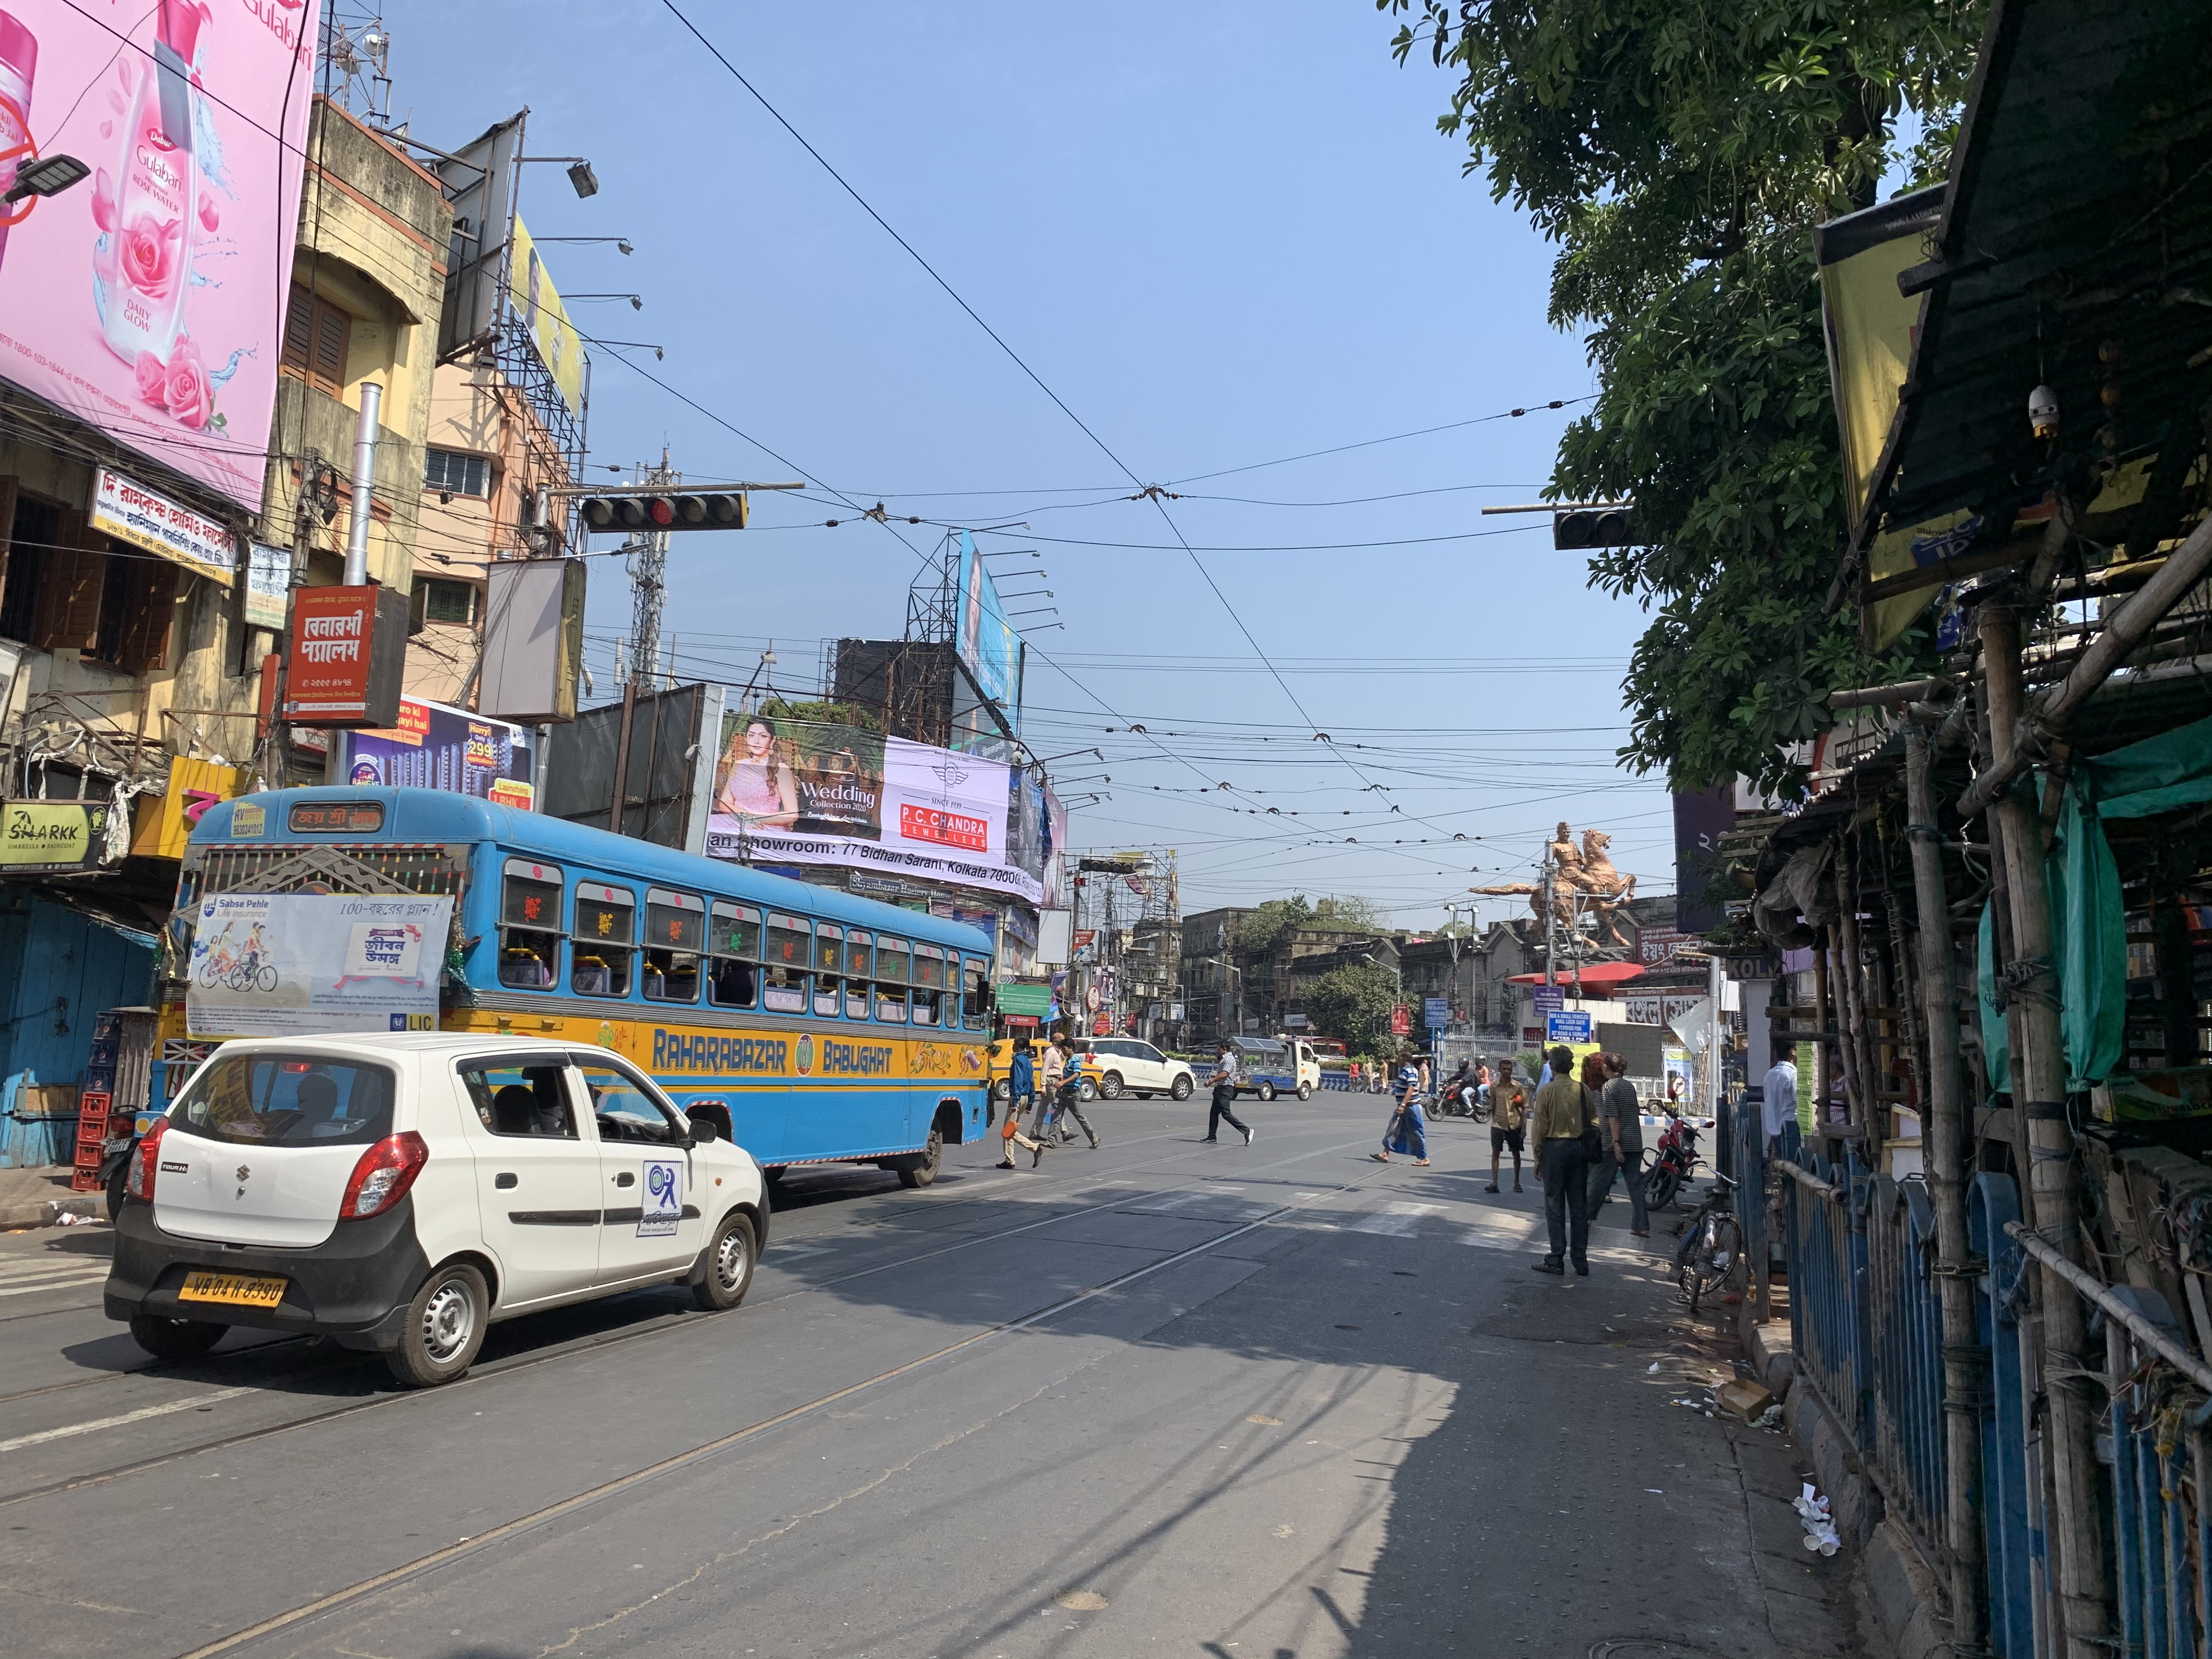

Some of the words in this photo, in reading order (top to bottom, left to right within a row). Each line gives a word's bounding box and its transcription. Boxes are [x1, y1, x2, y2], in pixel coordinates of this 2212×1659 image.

[132, 140, 187, 194] Gulabari
[129, 172, 154, 195] ROSE
[142, 173, 172, 200] PREMIUM
[151, 187, 182, 216] WATER
[124, 297, 154, 324] DAILY
[122, 306, 156, 335] GLOW
[63, 374, 104, 402] কল করুন ৷
[96, 391, 136, 418] ওয়েবসাইট
[130, 410, 182, 444] www.dabur.com
[95, 466, 122, 500] দি
[112, 481, 168, 523] রামকৃষ্ণ
[104, 522, 126, 539] ১২৮৷১
[121, 526, 142, 543] বিধান
[125, 509, 163, 539] হ্যানিম্যান
[161, 524, 193, 553] পাবলিশিং
[161, 505, 204, 539] হোমিও
[200, 522, 239, 556] ফার্মেসী
[188, 540, 229, 572] কোং প্রাঃ লিং
[301, 606, 368, 641] বনারসী
[299, 632, 360, 667] প্যালেস
[805, 794, 855, 811] Collection
[797, 778, 878, 812] Wedding
[848, 798, 868, 812] 2020
[898, 802, 990, 841] P.C.CHANDRA
[736, 830, 839, 857] Showroom:
[837, 838, 862, 858] 77
[857, 842, 906, 866] Bidhan
[902, 851, 948, 875] Sarani,
[898, 823, 988, 852] JEWELLERS
[947, 858, 991, 880] Kolkata
[988, 865, 1024, 887] 700006
[214, 904, 232, 919] Life
[216, 895, 247, 910] Sabse
[229, 907, 270, 918] Insurance
[244, 895, 272, 914] Pehle
[337, 896, 410, 921] 100-বছরের
[403, 897, 437, 918] প্ল্যান
[362, 947, 404, 968] উমঙ্গ
[362, 934, 408, 955] জীবন
[403, 1007, 436, 1032] LIC
[648, 1024, 791, 1076] RAHARABAZAR
[820, 1036, 898, 1079] BABUGHAT
[191, 1275, 286, 1306] WB04H8390